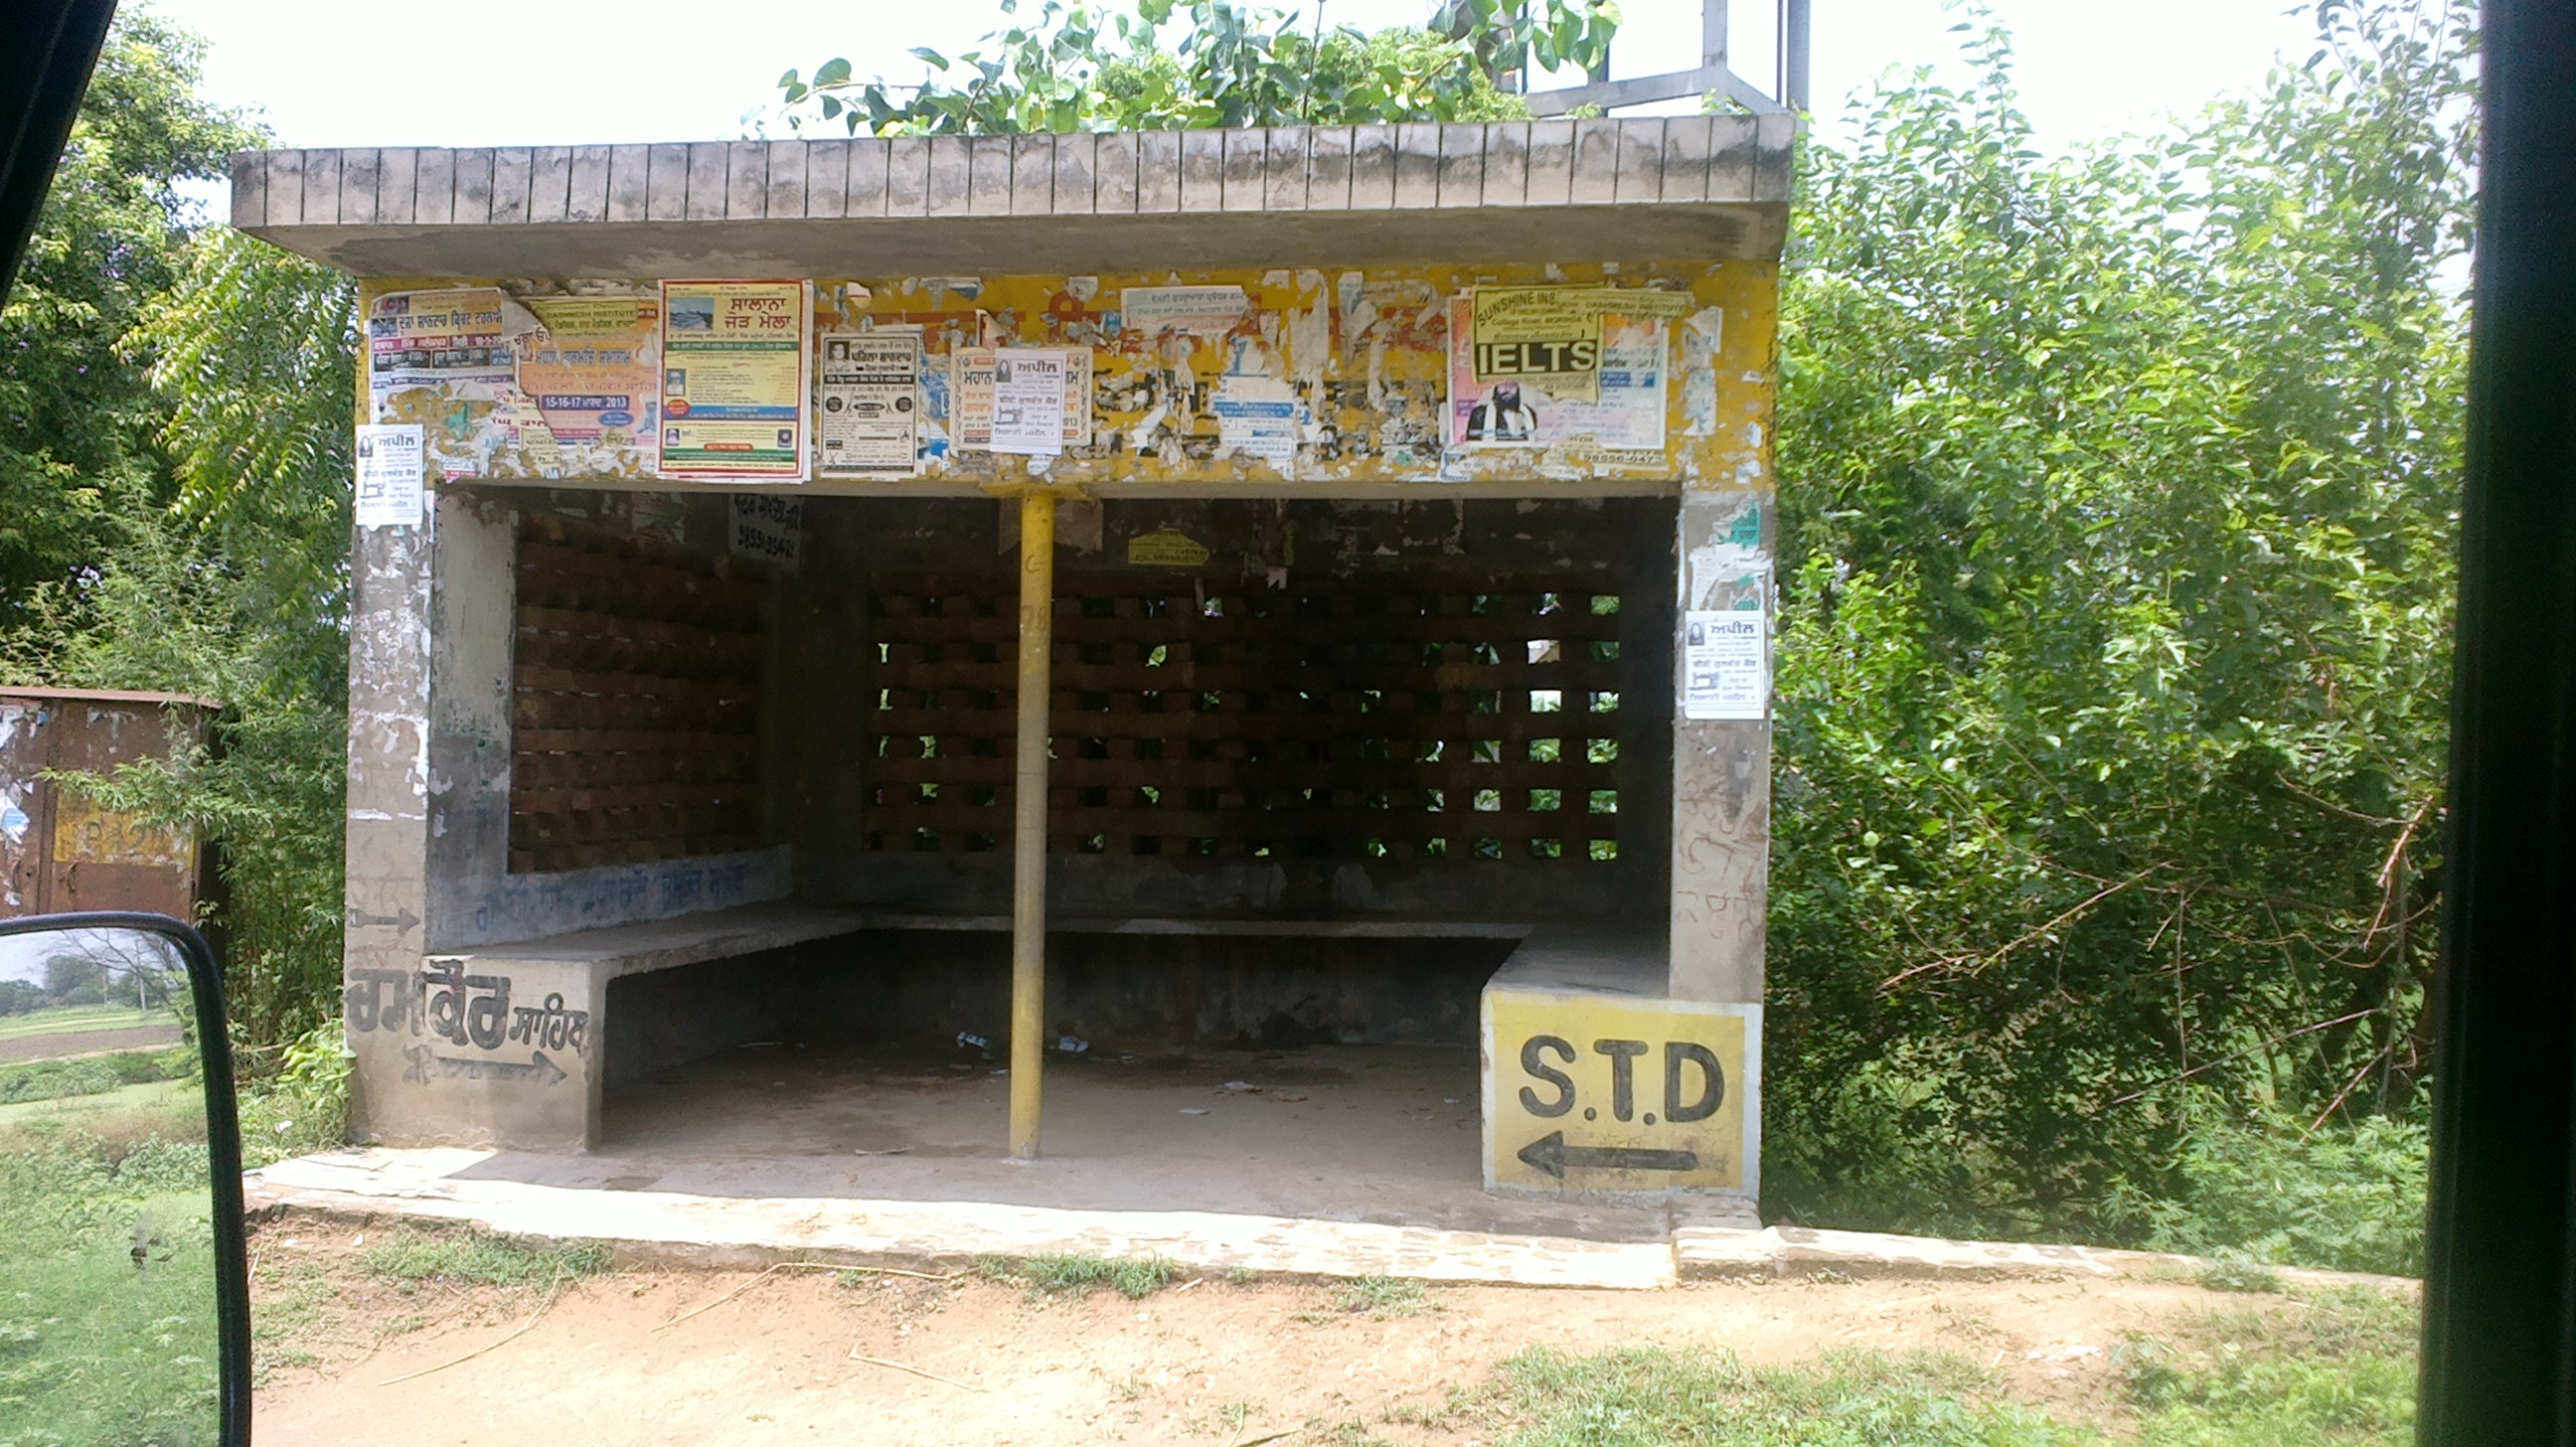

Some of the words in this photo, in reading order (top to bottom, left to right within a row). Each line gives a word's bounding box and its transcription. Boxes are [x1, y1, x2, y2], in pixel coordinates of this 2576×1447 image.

[721, 310, 754, 331] ਜੋੜ
[726, 295, 789, 313] ਸਾਲਾਨਾ
[755, 309, 796, 332] ਮੇਲਾ
[1475, 289, 1536, 328] SUNSHINE
[1472, 340, 1601, 376] IELTS
[340, 956, 514, 1051] ਹਮਕੌਰ
[506, 987, 591, 1055] ਸਾਹਿਬ
[1508, 1025, 1730, 1134] 810